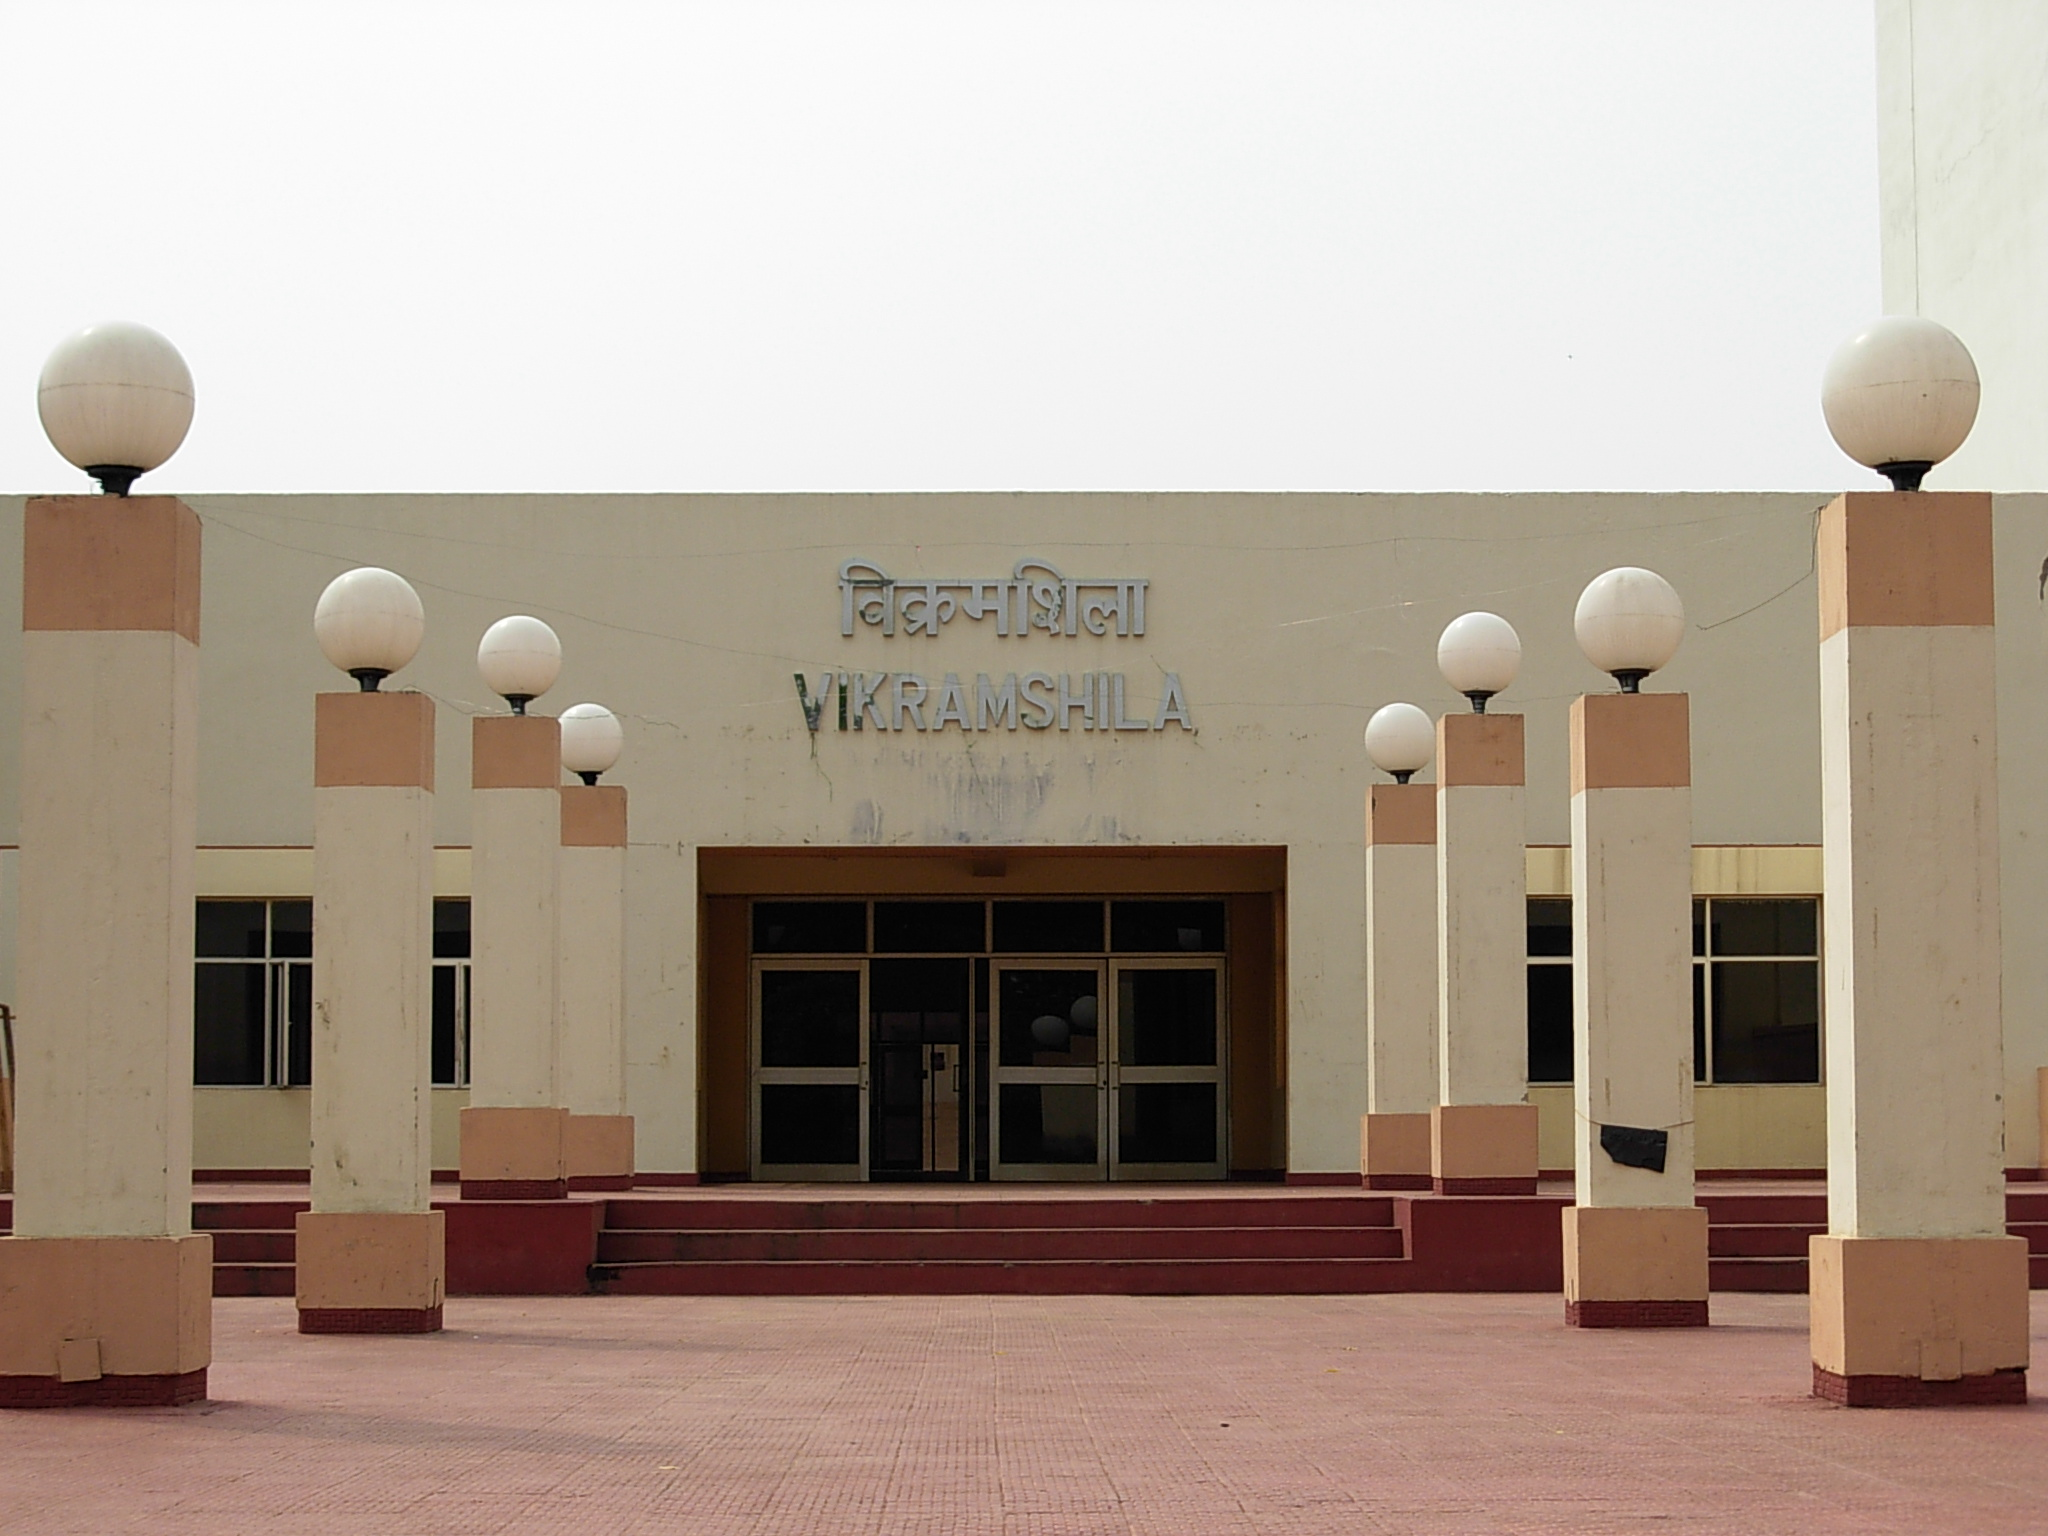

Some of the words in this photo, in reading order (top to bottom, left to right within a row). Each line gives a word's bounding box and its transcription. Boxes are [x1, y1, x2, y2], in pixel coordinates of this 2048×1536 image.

[834, 553, 1150, 640] विक्रमशिला
[793, 670, 1195, 734] VIKRAMSHILA